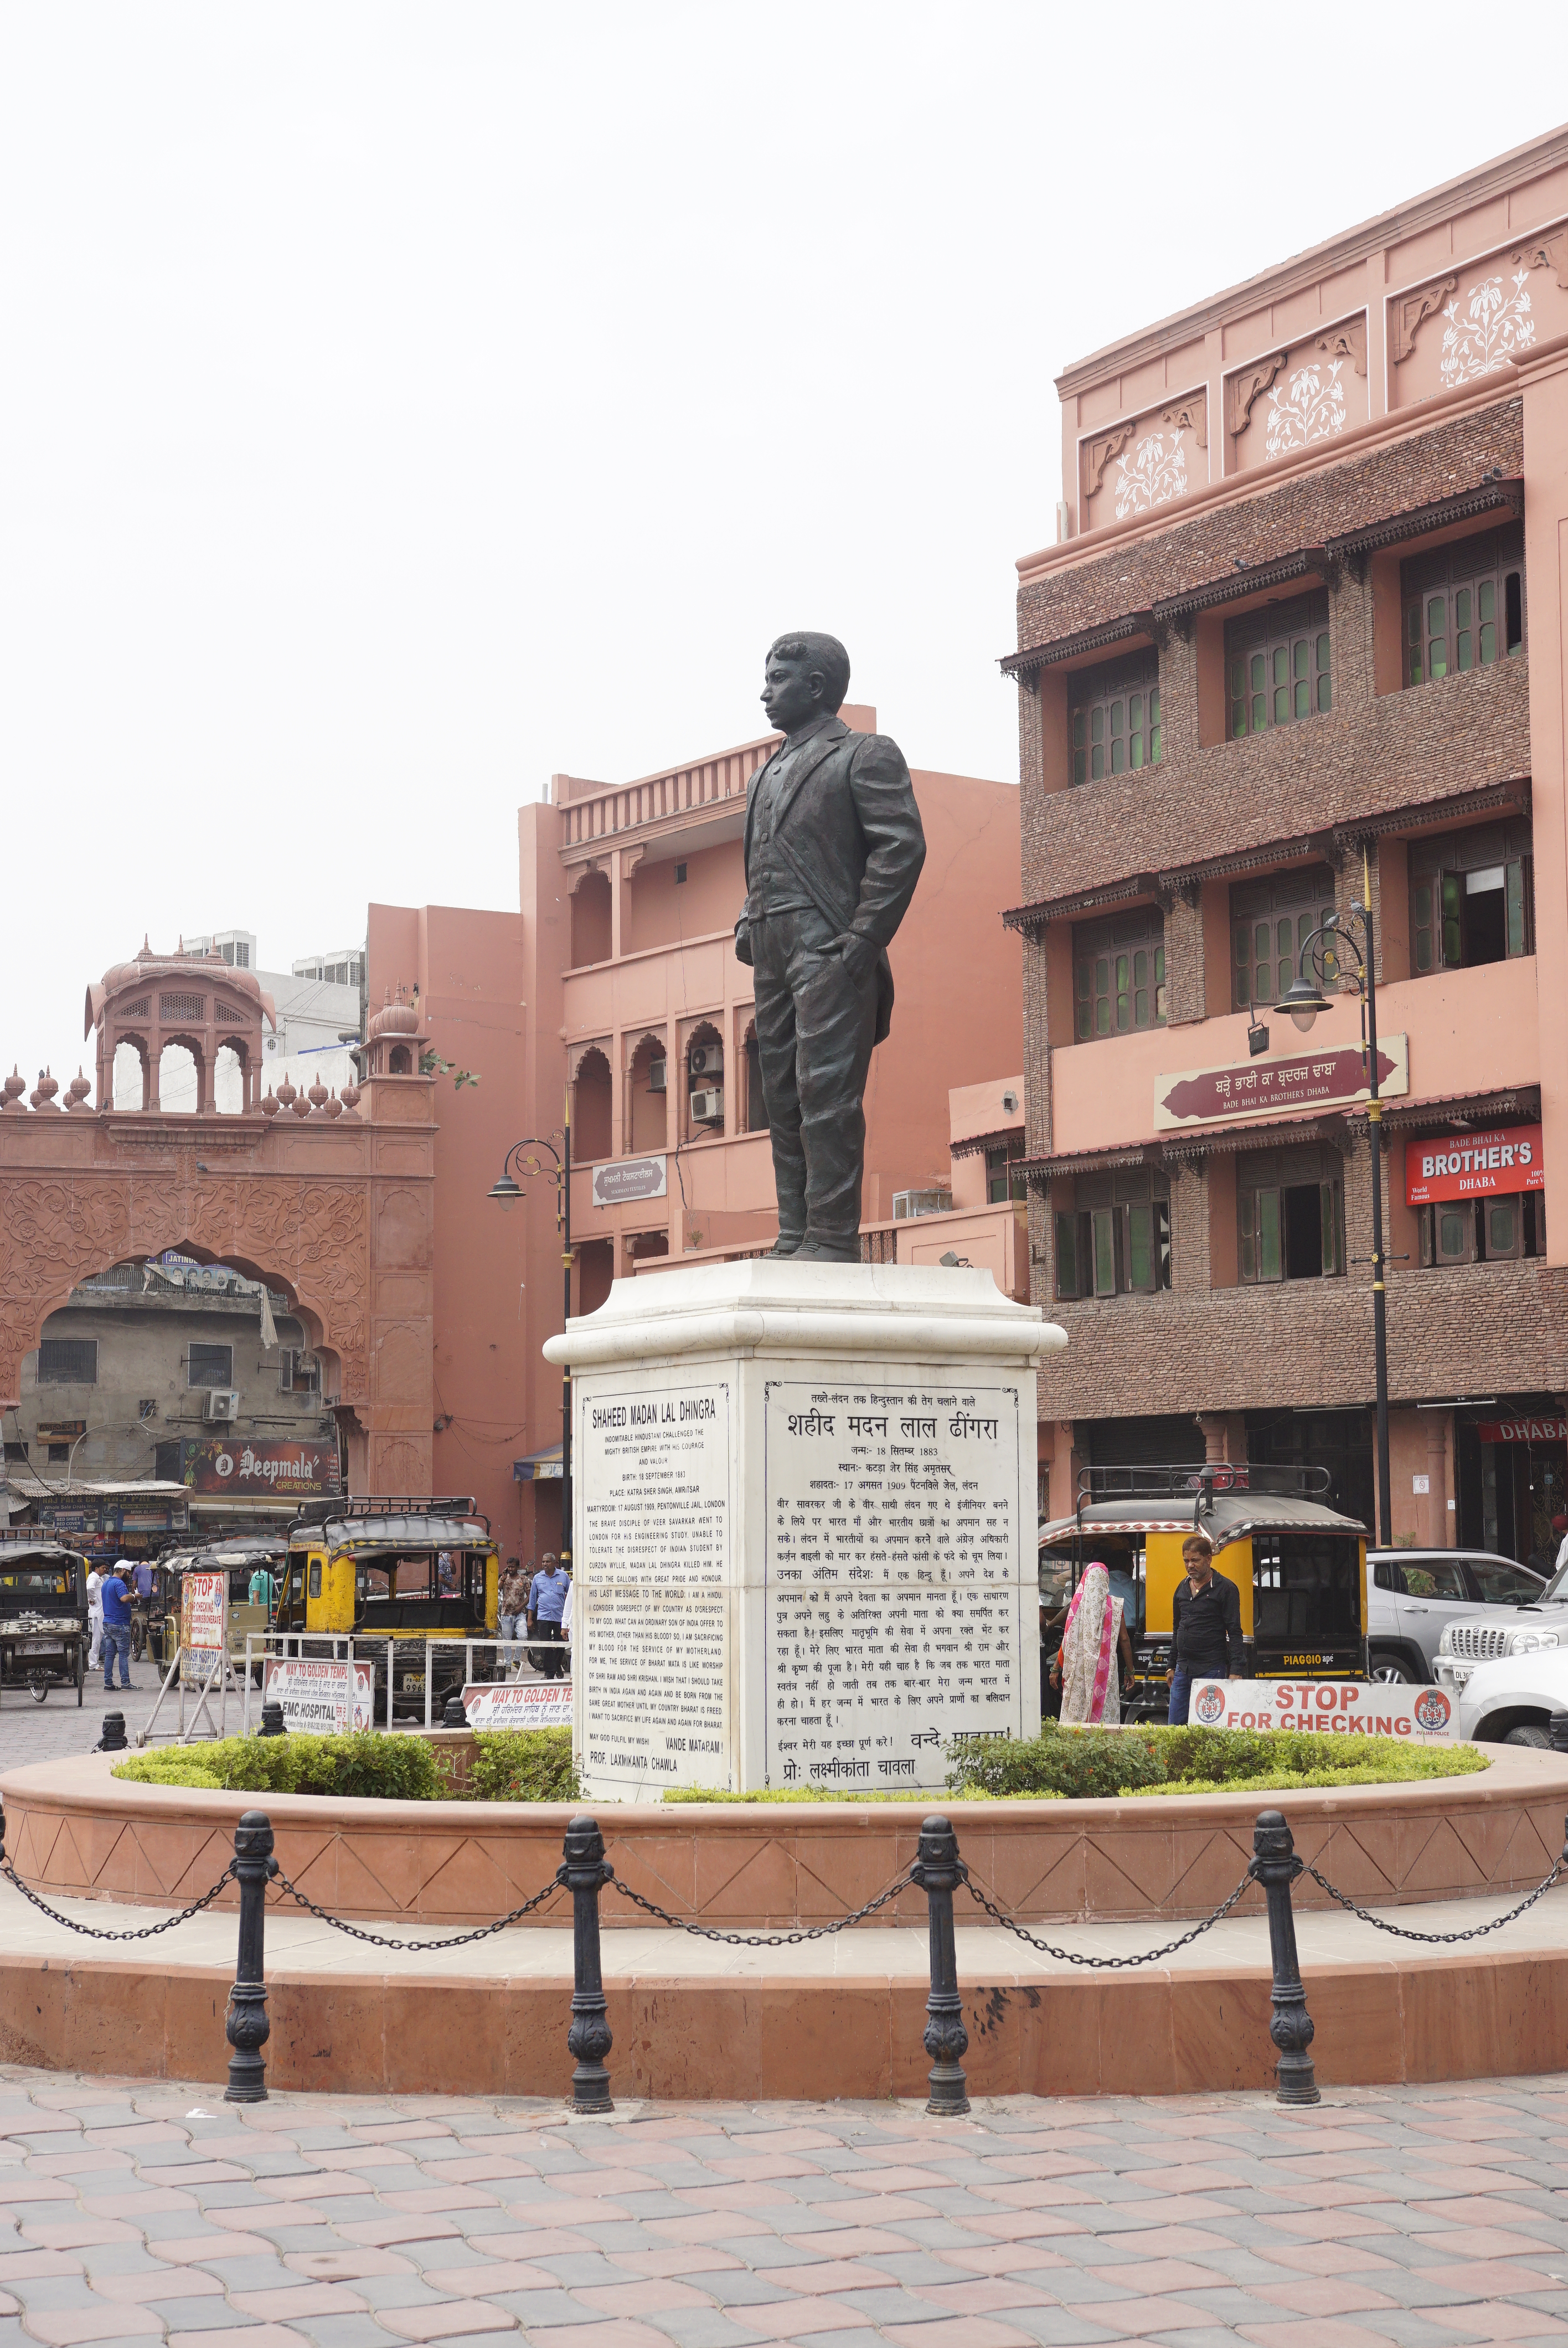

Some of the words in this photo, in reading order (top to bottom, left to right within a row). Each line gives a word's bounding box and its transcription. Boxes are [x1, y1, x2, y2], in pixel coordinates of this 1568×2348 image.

[824, 1660, 844, 1678] पूजा
[833, 1696, 855, 1709] जन्म
[843, 1658, 856, 1675] है।
[839, 1677, 860, 1692] जाती
[853, 1693, 866, 1708] में
[858, 1659, 876, 1676] मेरी
[864, 1678, 878, 1691] तब
[869, 1696, 891, 1708] भारत
[876, 1660, 894, 1675] यही
[883, 1680, 898, 1690] तक
[890, 1692, 904, 1707] के
[894, 1660, 910, 1672] चाह
[905, 1693, 924, 1708] लिए
[910, 1657, 924, 1674] हैे
[900, 1677, 935, 1691] बार-बार
[923, 1657, 937, 1675] कि
[924, 1691, 947, 1707] अपने
[934, 1673, 953, 1690] मेरा
[936, 1659, 953, 1670] जब
[946, 1691, 968, 1708] प्राणों
[953, 1660, 970, 1671] तक
[955, 1676, 975, 1688] जन्म
[967, 1690, 982, 1706] का
[972, 1657, 993, 1671] भारत
[977, 1676, 999, 1688] भारत
[982, 1688, 1013, 1706] बलिदान
[993, 1658, 1012, 1670] माता
[1000, 1672, 1014, 1687] में
[1135, 1653, 1152, 1665] ape
[1224, 1709, 1275, 1730] FOR
[1281, 1654, 1322, 1667] PIAGGIO
[1271, 1682, 1361, 1713] STOP
[1322, 1654, 1336, 1666] ape
[1279, 1711, 1416, 1738] CHECKING
[1453, 1668, 1462, 1681] DL
[587, 1731, 600, 1742] MAY
[599, 1733, 611, 1744] GOD
[611, 1733, 627, 1745] FULFIL
[626, 1734, 636, 1746] MY
[635, 1735, 651, 1747] WISHI
[664, 1735, 688, 1754] VANDE
[688, 1737, 726, 1757] MATARAM!
[773, 1738, 801, 1754] ईश्वर
[801, 1737, 819, 1752] मेरी
[819, 1739, 835, 1753] यह
[834, 1738, 855, 1754] इच्छा
[857, 1735, 873, 1753] पूर्ण
[874, 1735, 889, 1749] करे
[907, 1724, 945, 1753] वन्दे
[586, 1749, 610, 1767] PROF.
[608, 1749, 649, 1773] LAXMIKANTA
[649, 1754, 678, 1774] CHAWLA
[779, 1755, 798, 1784] प्रो
[805, 1756, 871, 1782] लक्ष्मीकांता
[875, 1758, 919, 1779] चावला